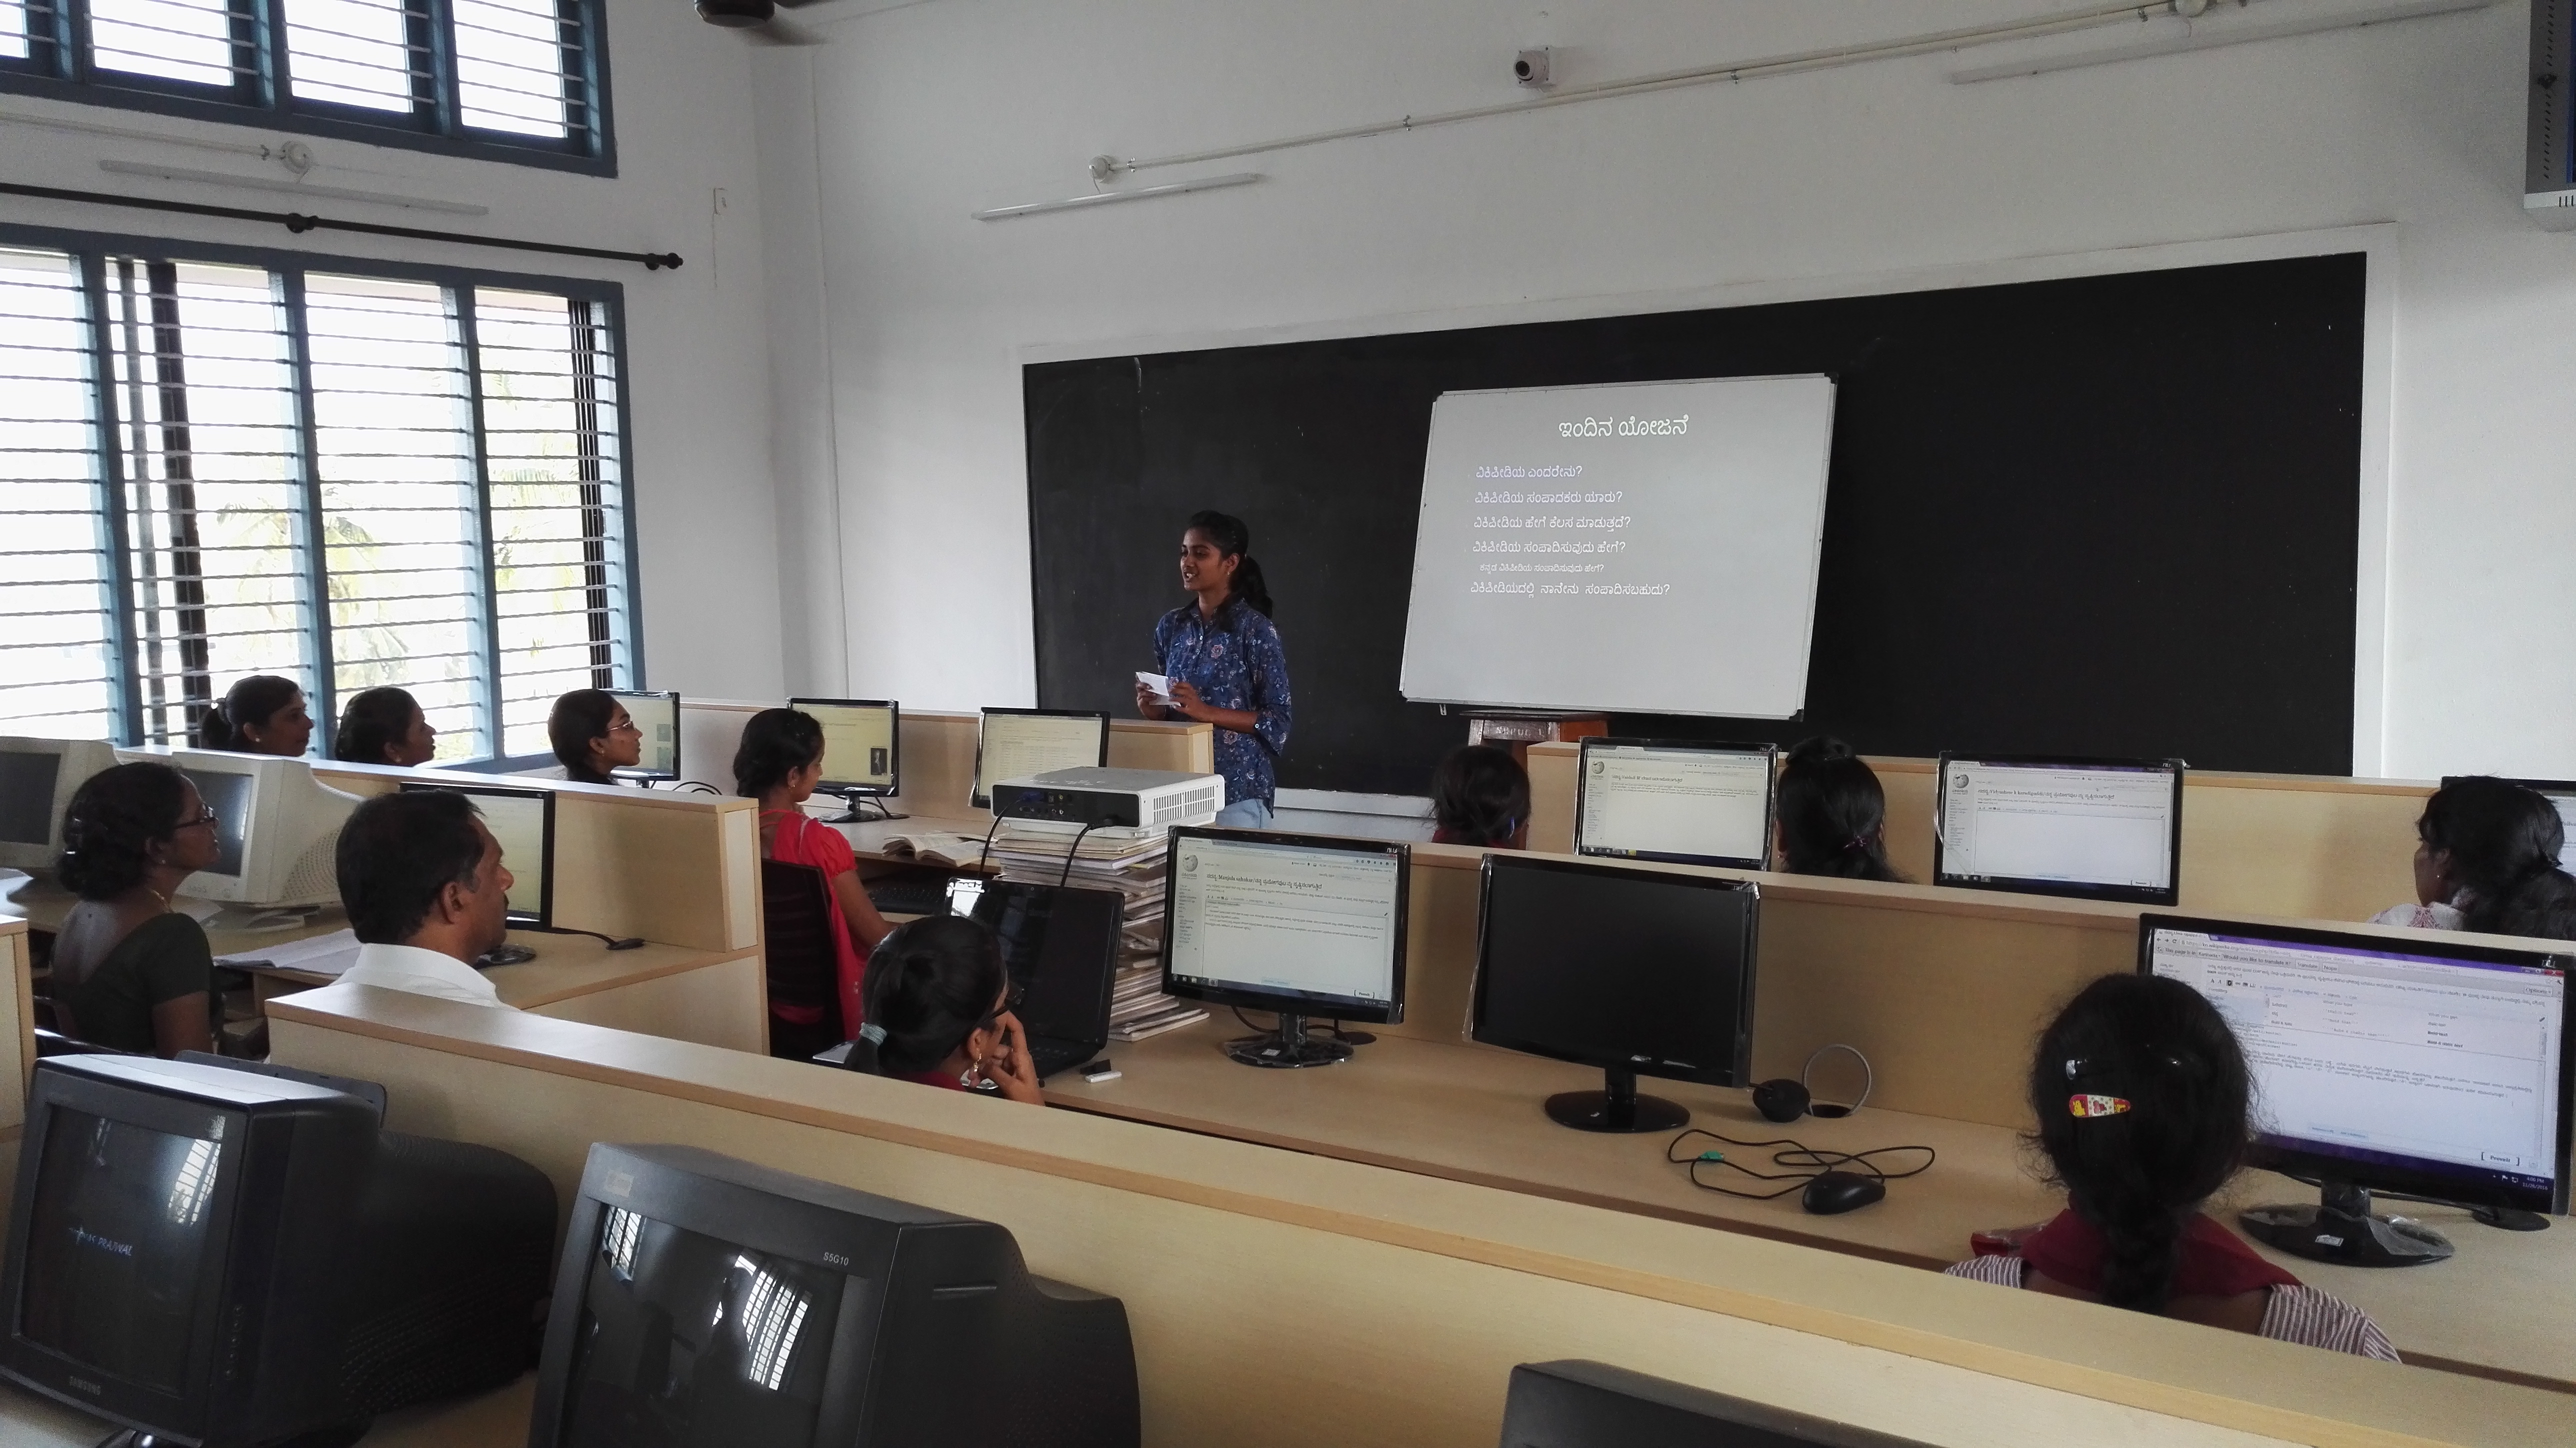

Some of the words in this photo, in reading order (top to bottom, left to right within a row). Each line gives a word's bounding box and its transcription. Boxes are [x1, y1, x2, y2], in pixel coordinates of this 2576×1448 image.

[1556, 413, 1615, 439] ಇಂದಿನ
[1612, 411, 1693, 438] ಯೋಜನ
[1470, 463, 1528, 479] ವಿಕಿಪೀಡಿಯ
[1524, 460, 1583, 482] ಮಾಡುತ್ತದೆ?
[1471, 486, 1527, 507] ಎಕಿಪೀಡಿಯ
[1522, 488, 1583, 504] ಸಂಪಾದಕರು
[1580, 486, 1625, 504] ಯಾರು?
[1472, 513, 1524, 531] ವಿಕಿಪೀಡಿಯ
[1523, 512, 1549, 529] ಹೇಗ
[1546, 512, 1576, 529] ಕೆಲಸ
[1572, 512, 1632, 535] ಮಾಡುತ್ತದ?
[1469, 536, 1522, 555] ವಿಕಿಪೀಡಿಯ
[1521, 537, 1597, 554] ಸಂಪಾದಿಸುವುದು
[1593, 538, 1628, 554] ಹೇಗೆ?
[1476, 559, 1500, 575] ಕನ್ನಡೆ
[1496, 558, 1535, 573] ವಿಕಿಪೀಡಿಯ
[1532, 562, 1584, 574] ಸಂಪಾದಿಸುವುದು
[1581, 560, 1605, 574] ಹೇಗೆ
[1468, 578, 1536, 599] ವಿಕಿಪೀಡಿಯದಲ್ಲಿ
[1537, 579, 1580, 595] ನಾನೇನು
[1580, 581, 1672, 597] ಸಂಪಾದಿಸಬಹುದು?
[1987, 786, 2015, 797] Vidyashree
[1216, 872, 1238, 883] Manjula
[1233, 873, 1256, 885] sahokar/